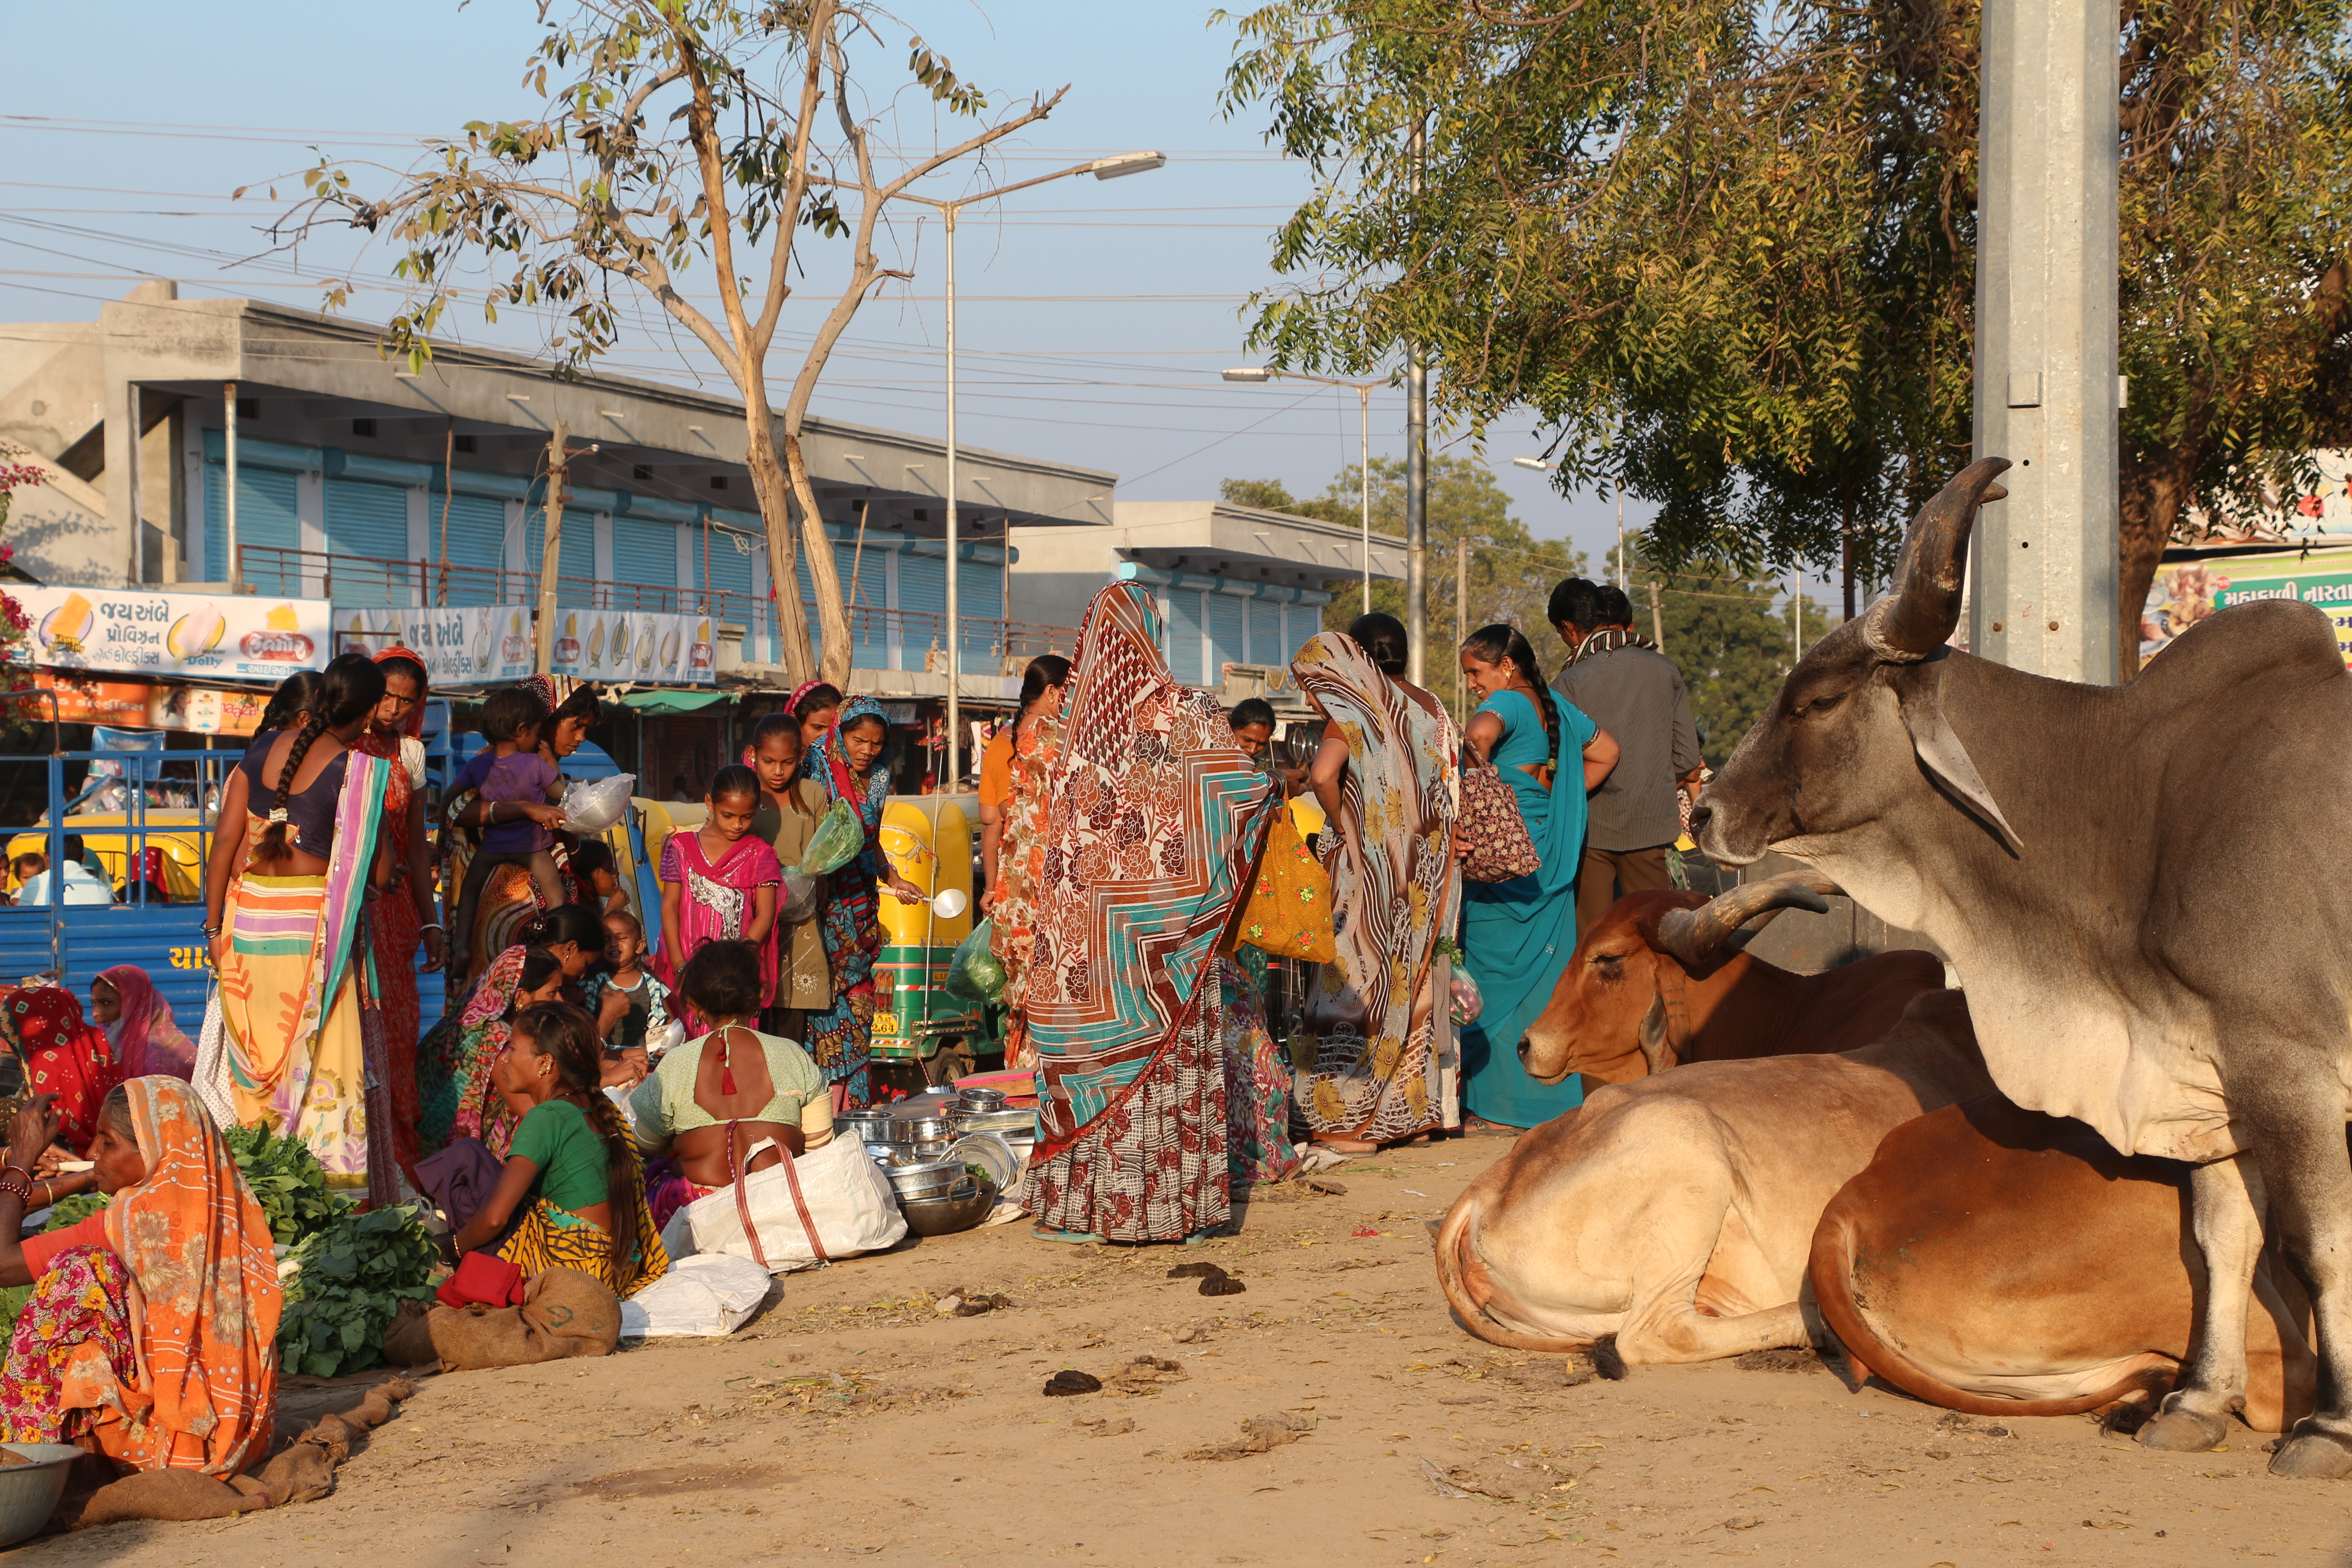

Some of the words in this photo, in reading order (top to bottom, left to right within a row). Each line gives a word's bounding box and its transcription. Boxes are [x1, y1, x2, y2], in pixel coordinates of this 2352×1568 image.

[2299, 582, 2352, 604] નાસ્તા
[97, 600, 134, 623] જય
[133, 596, 174, 625] અંબે
[92, 643, 114, 664] એન્ડ
[102, 620, 162, 647] પ્રોવિઝન
[111, 643, 168, 669] કોલ્ડ્રીકસ
[183, 655, 224, 670] Dolly
[240, 630, 315, 662] હેવમોર
[405, 619, 435, 653] જય
[434, 611, 467, 652] અંબે
[436, 649, 474, 681] કોલ્ડ્રીંક્સ
[163, 941, 204, 975] ચા